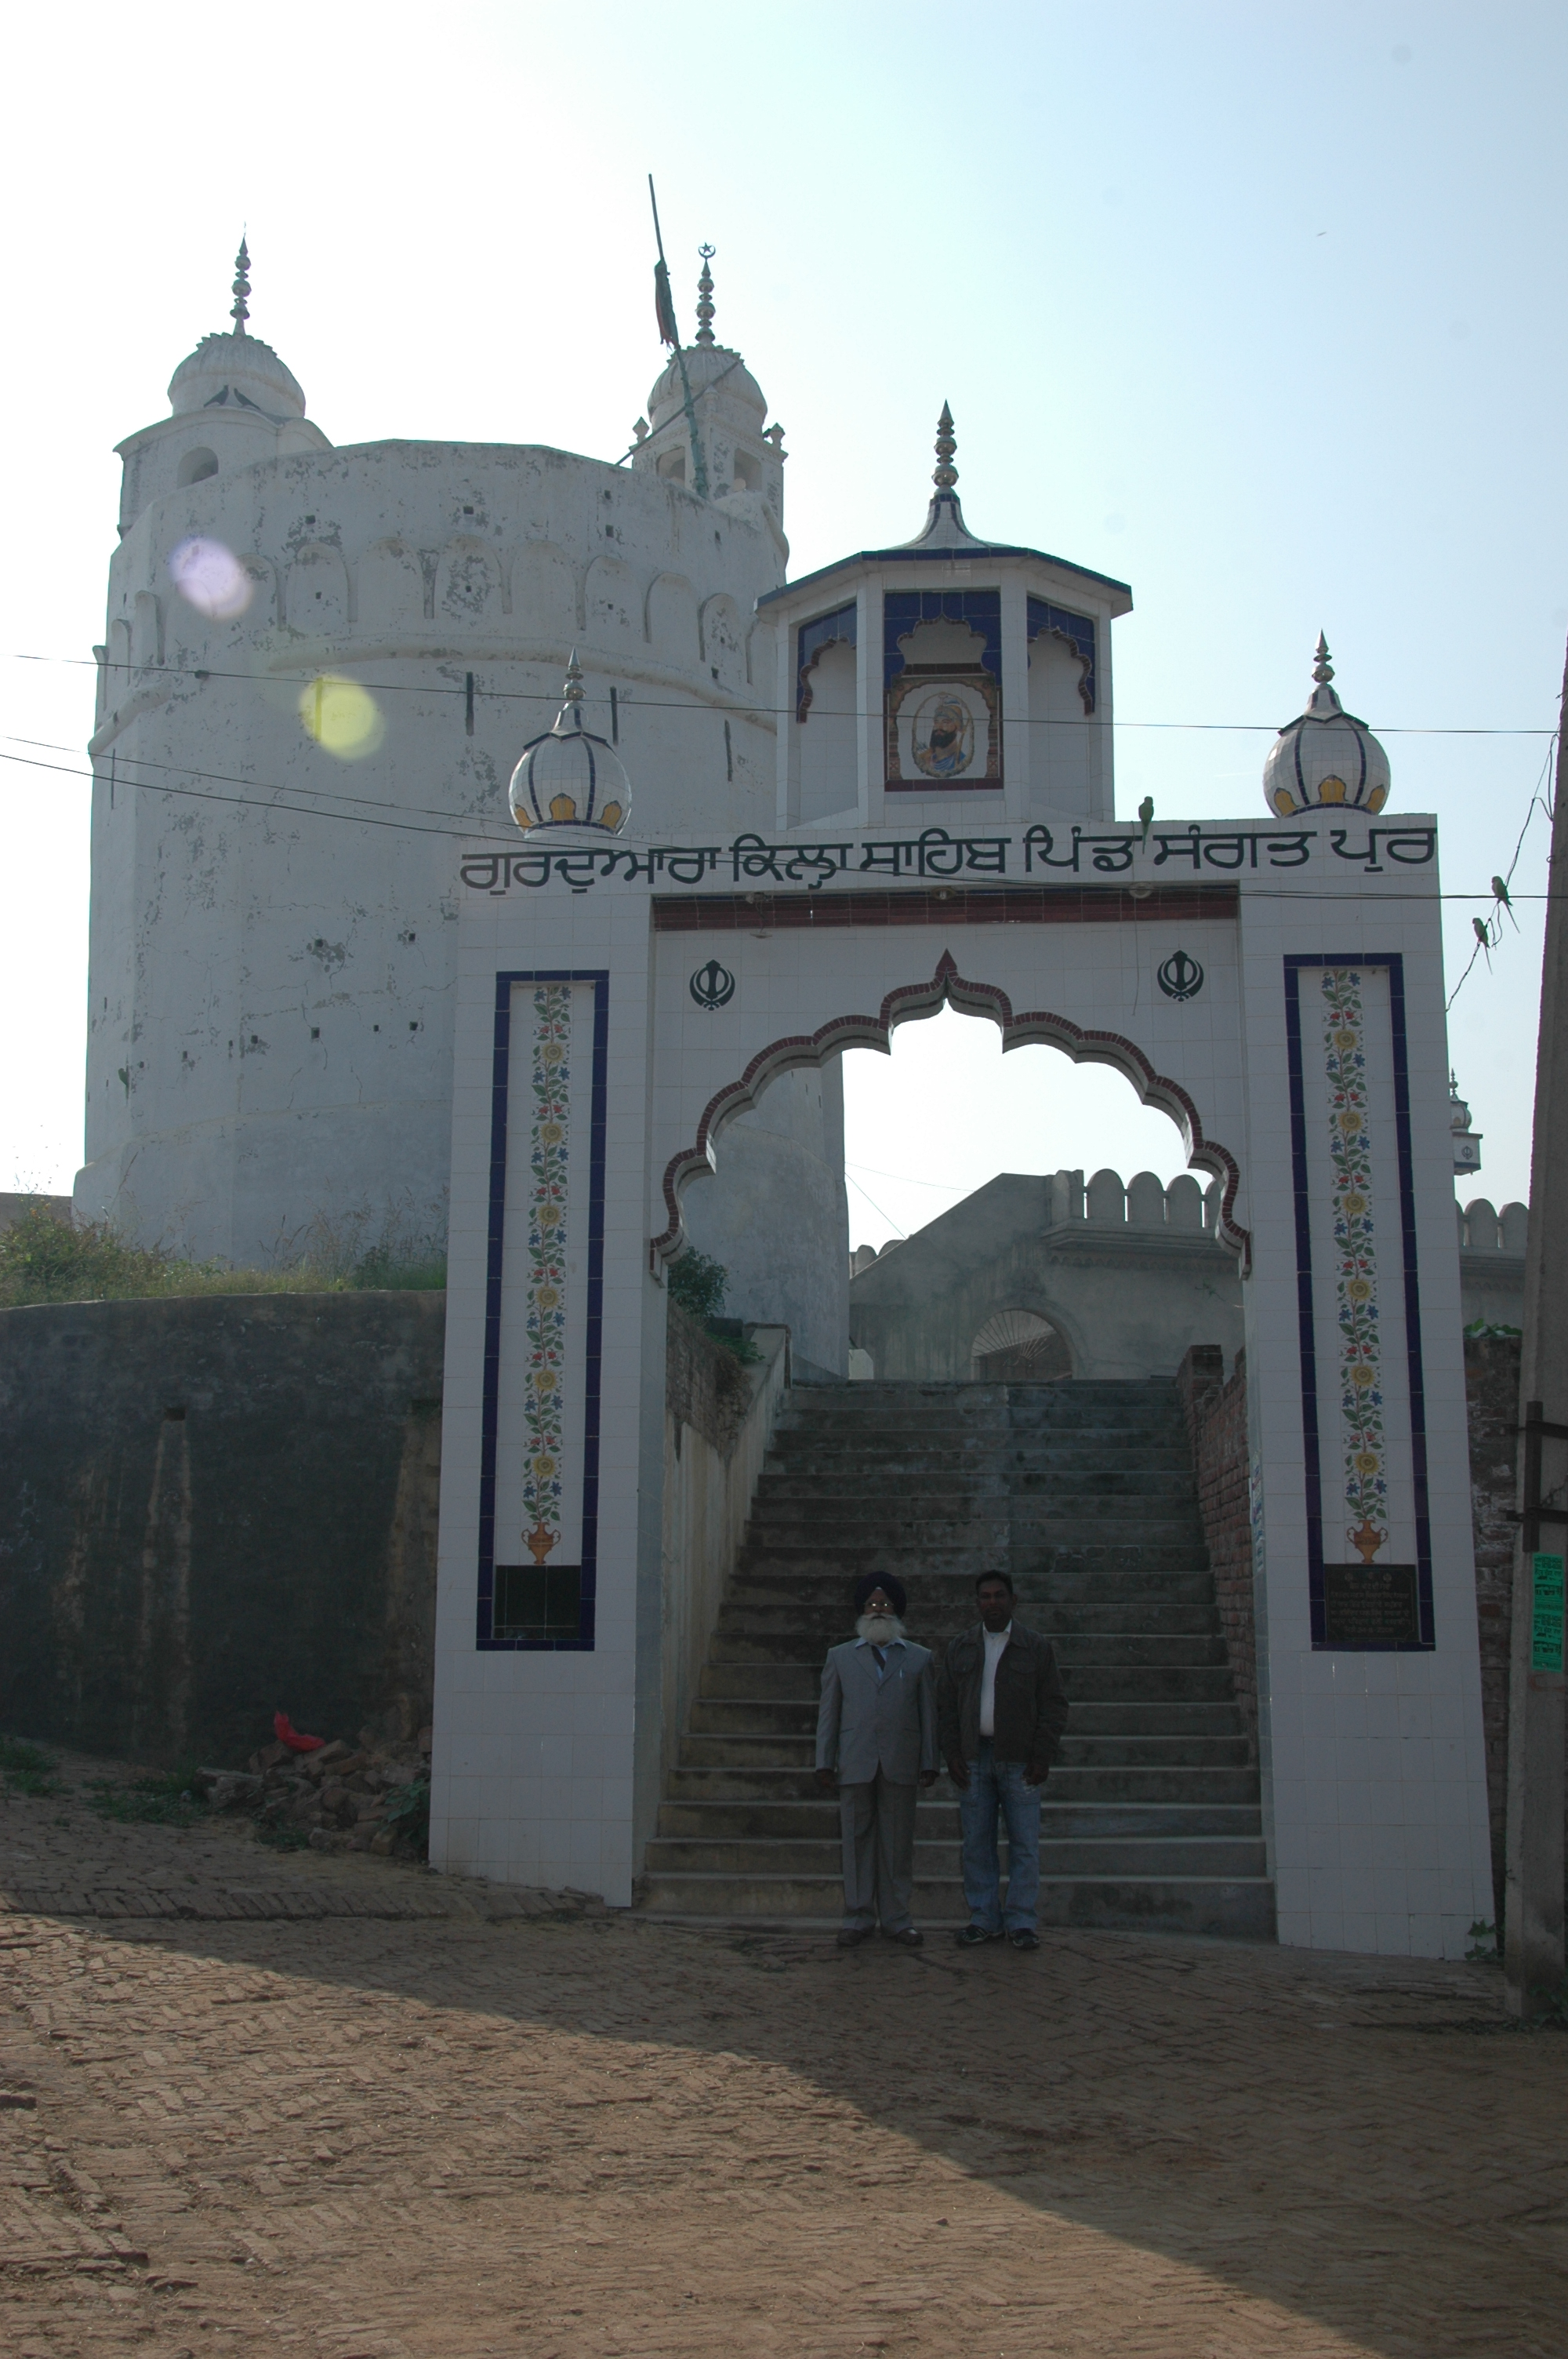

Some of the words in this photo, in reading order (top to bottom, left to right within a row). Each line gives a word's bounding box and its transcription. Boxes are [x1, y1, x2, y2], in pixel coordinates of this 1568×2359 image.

[451, 840, 726, 898] ਗੁਰਦੁਆਰਾ
[724, 831, 857, 892] ਕਿਲ੍ਹਾ
[853, 824, 1016, 885] ਸਾਹਿਬ
[1016, 820, 1146, 881] ਪਿੰਡ
[1148, 820, 1323, 881] ਸੰਗਤ
[1326, 817, 1438, 881] ਪੁਰ